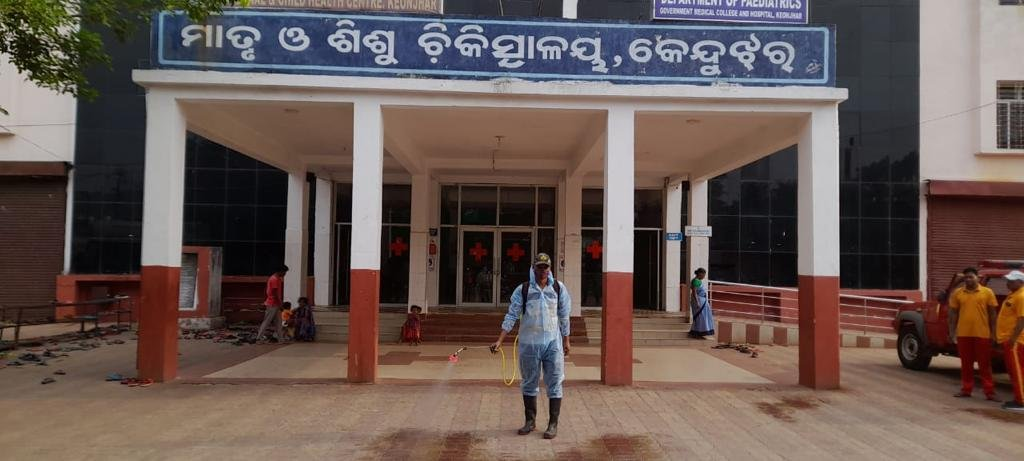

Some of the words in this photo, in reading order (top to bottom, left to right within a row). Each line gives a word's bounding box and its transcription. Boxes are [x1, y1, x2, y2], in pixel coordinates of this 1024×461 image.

[175, 15, 265, 63] ମାତୃ
[271, 19, 319, 60] ଓ
[318, 7, 403, 71] ଶିଶୁ
[411, 13, 613, 77] ଚି଼କିତ୍ସାଳୟ
[620, 24, 799, 83] କେନ୍ଦୁର୍